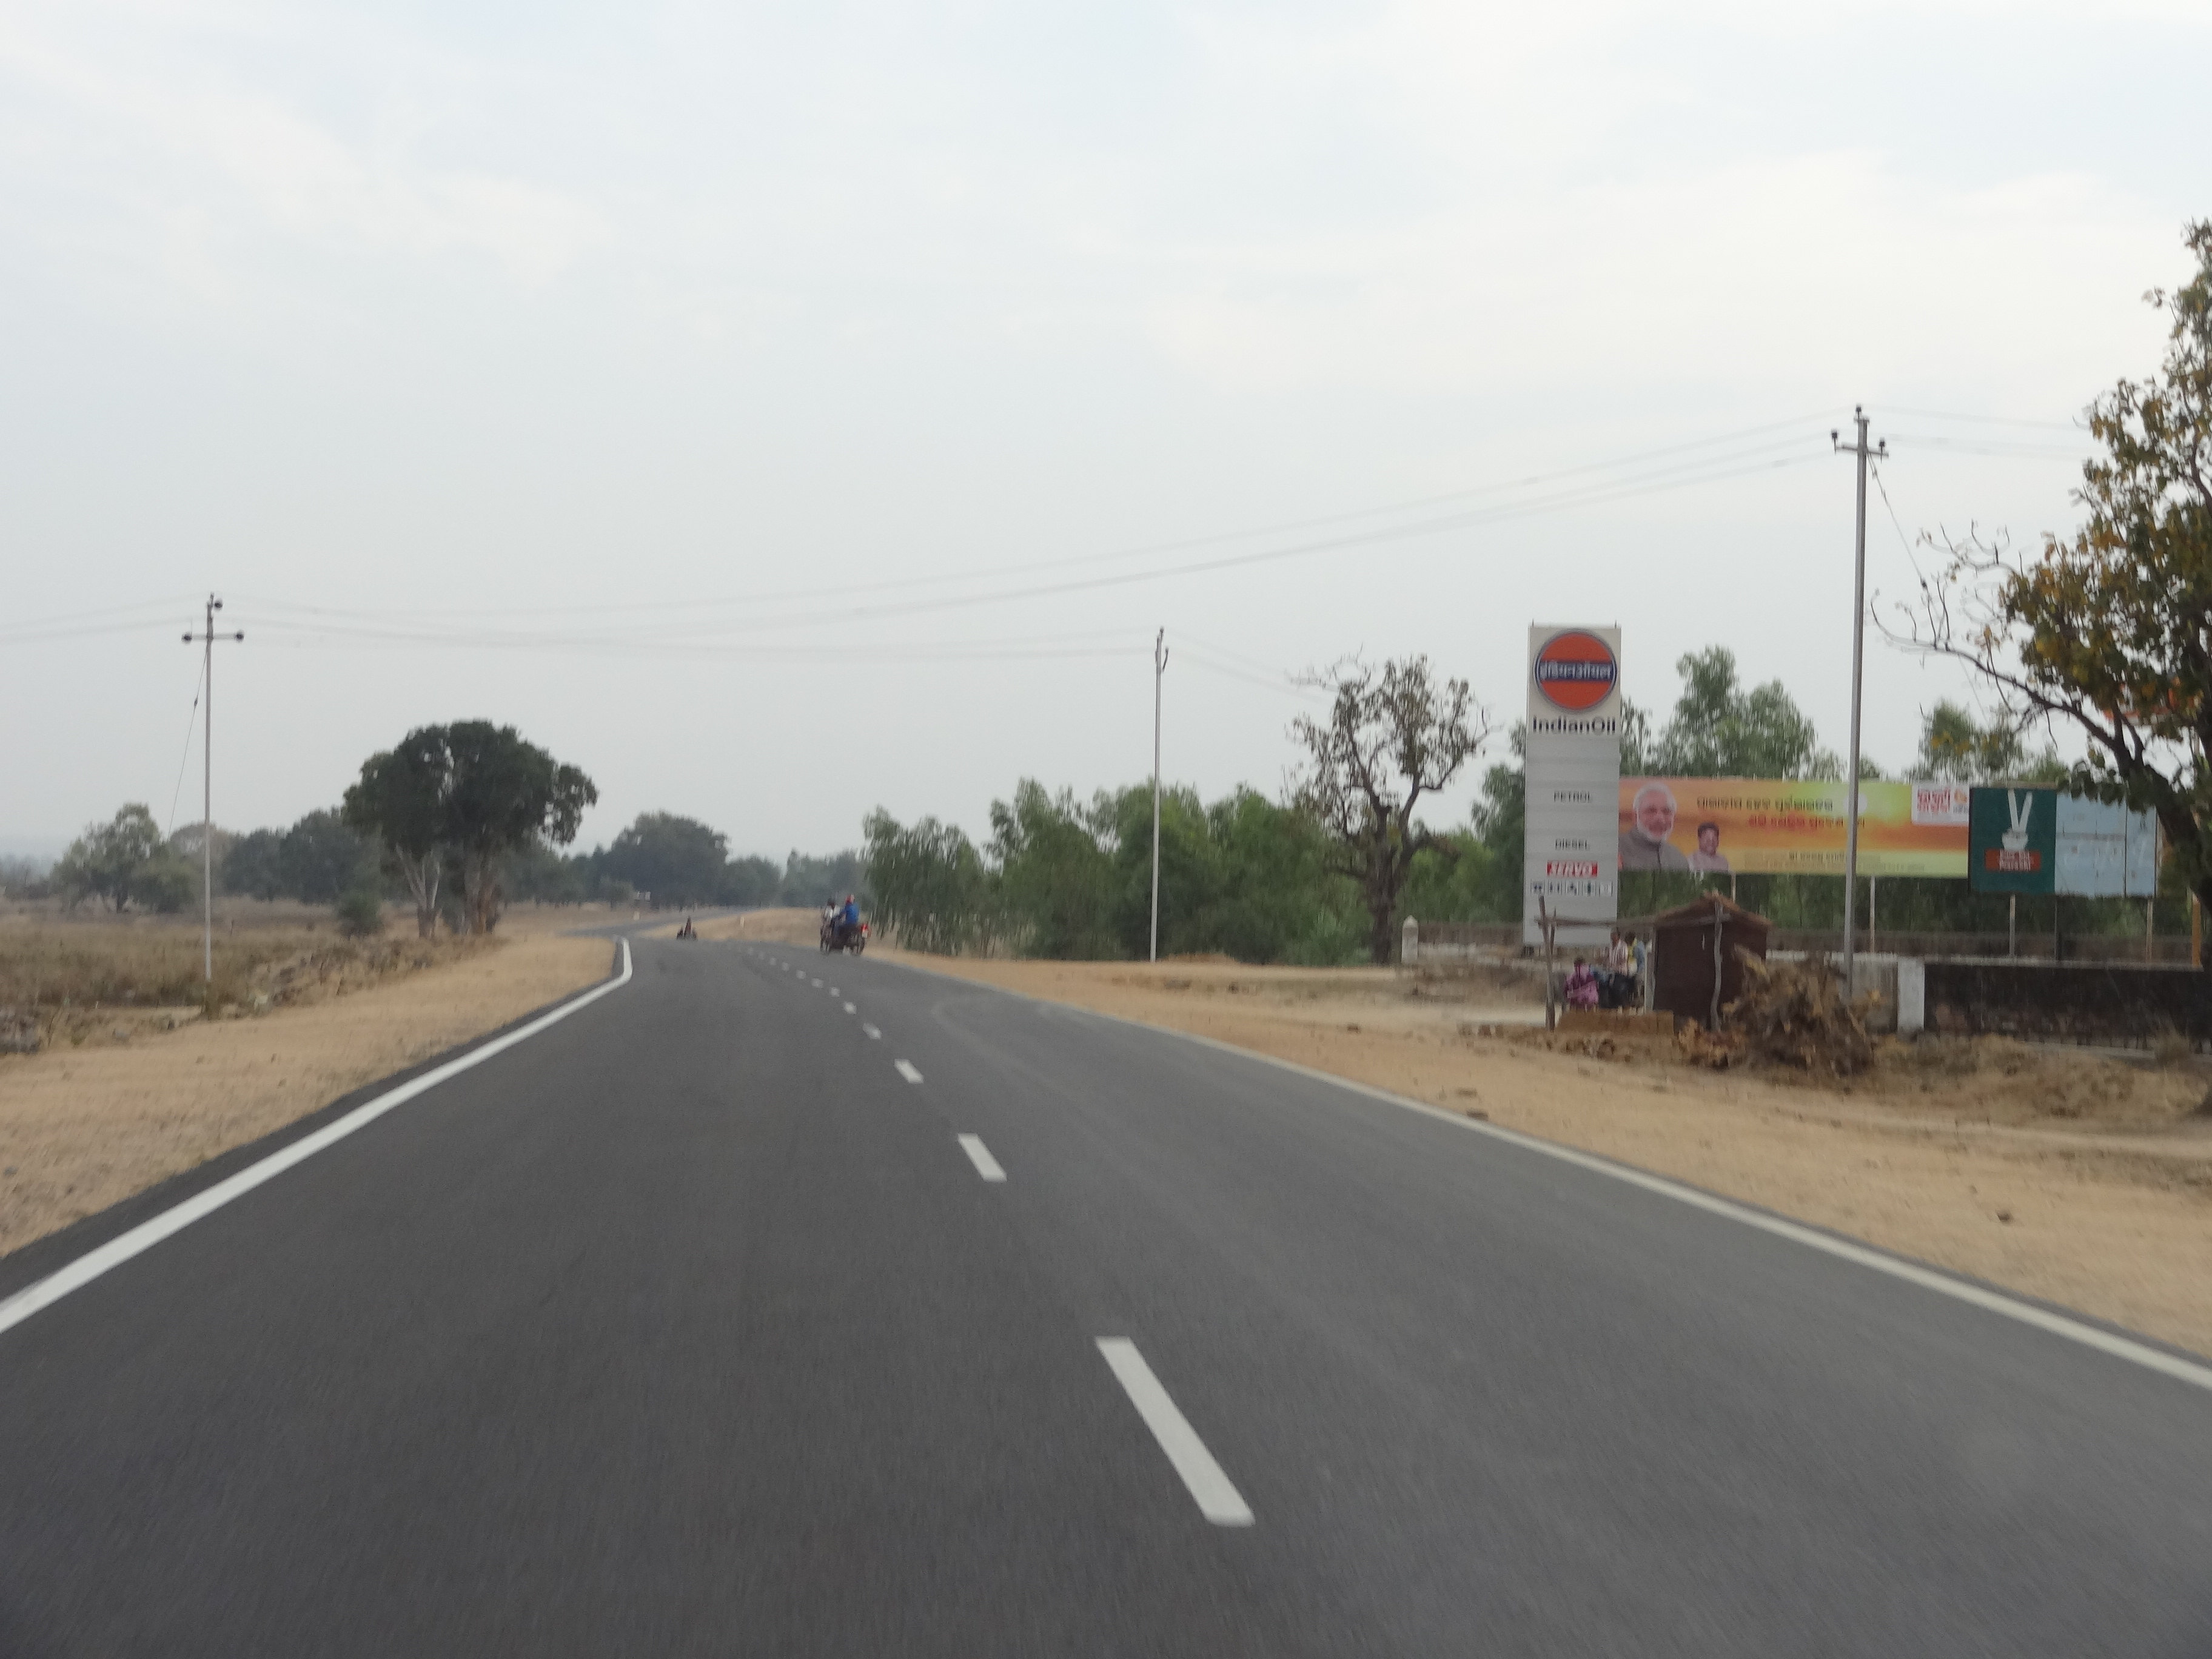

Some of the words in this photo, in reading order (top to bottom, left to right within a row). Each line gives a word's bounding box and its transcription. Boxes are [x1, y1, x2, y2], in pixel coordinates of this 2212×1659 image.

[1535, 652, 1614, 682] इंडियन ऑयल
[1527, 711, 1620, 740] IndianOli
[1548, 785, 1594, 806] PETROL